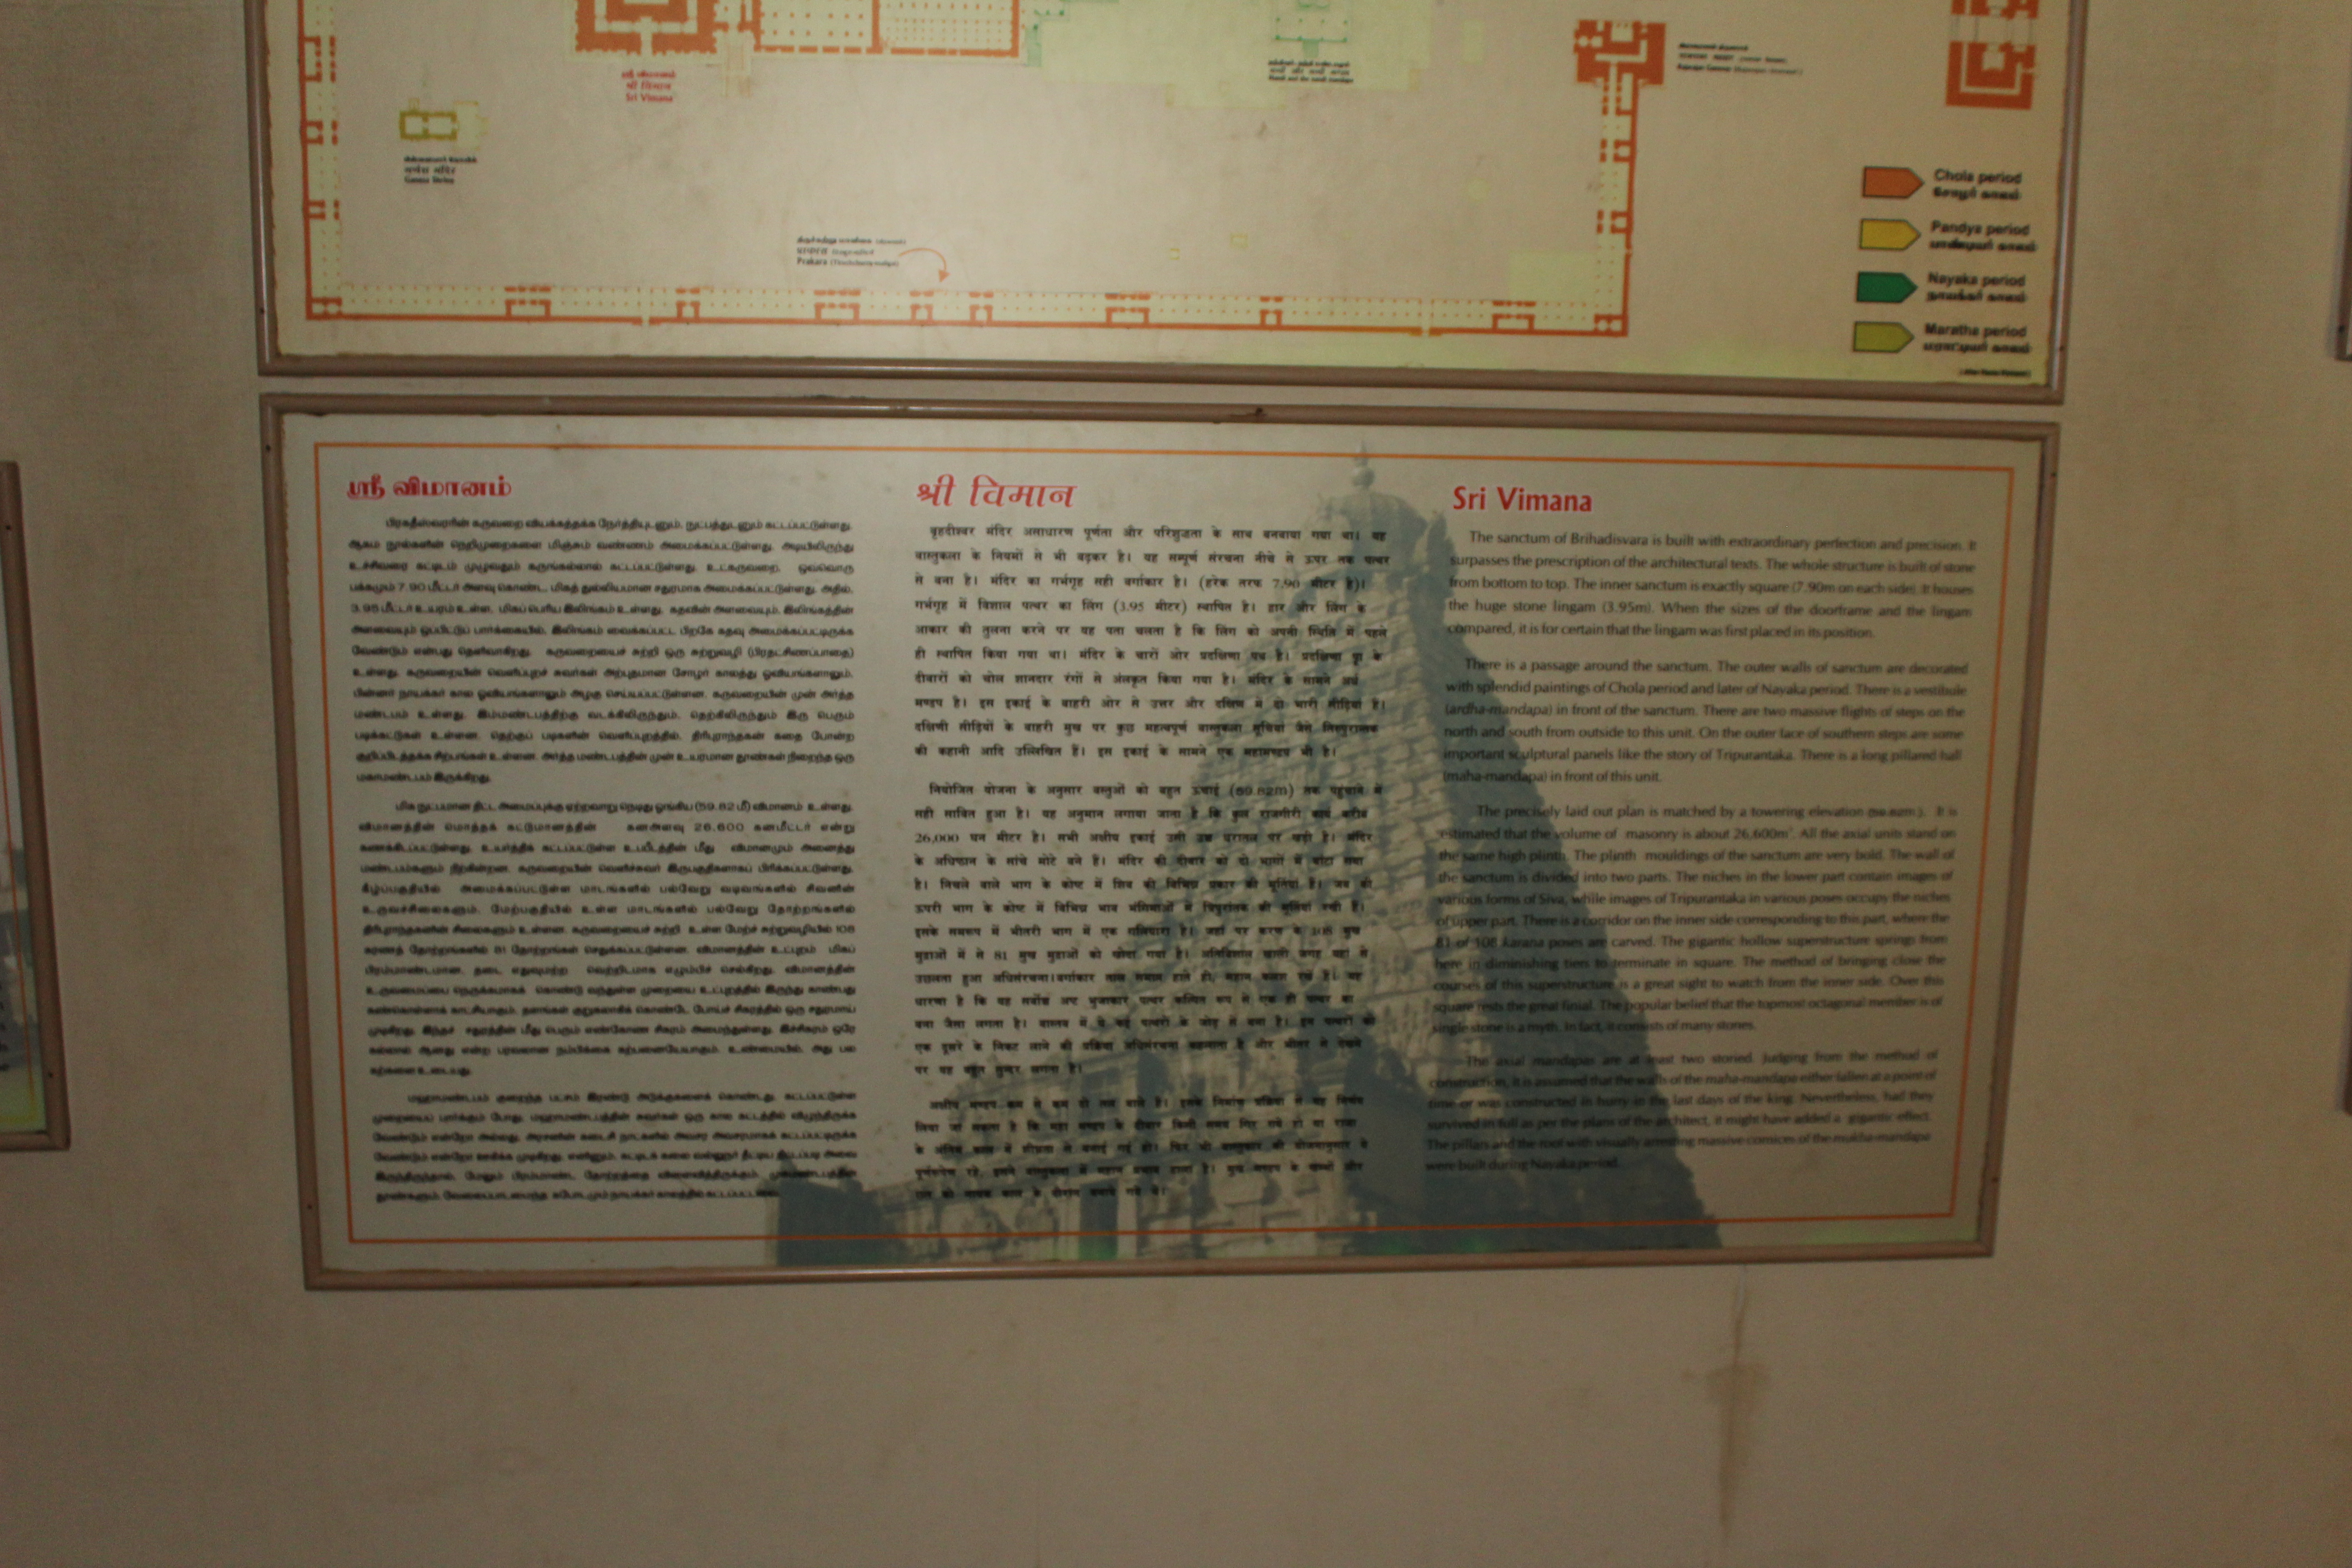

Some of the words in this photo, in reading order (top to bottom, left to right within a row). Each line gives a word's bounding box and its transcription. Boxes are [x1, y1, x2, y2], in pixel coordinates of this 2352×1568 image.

[342, 467, 393, 506] ஸ்ரீ
[390, 466, 519, 503] விமானம்
[916, 465, 959, 508] श्री
[963, 468, 1079, 513] विमान
[1447, 480, 1493, 514] Sri
[1494, 483, 1596, 519] Vimana